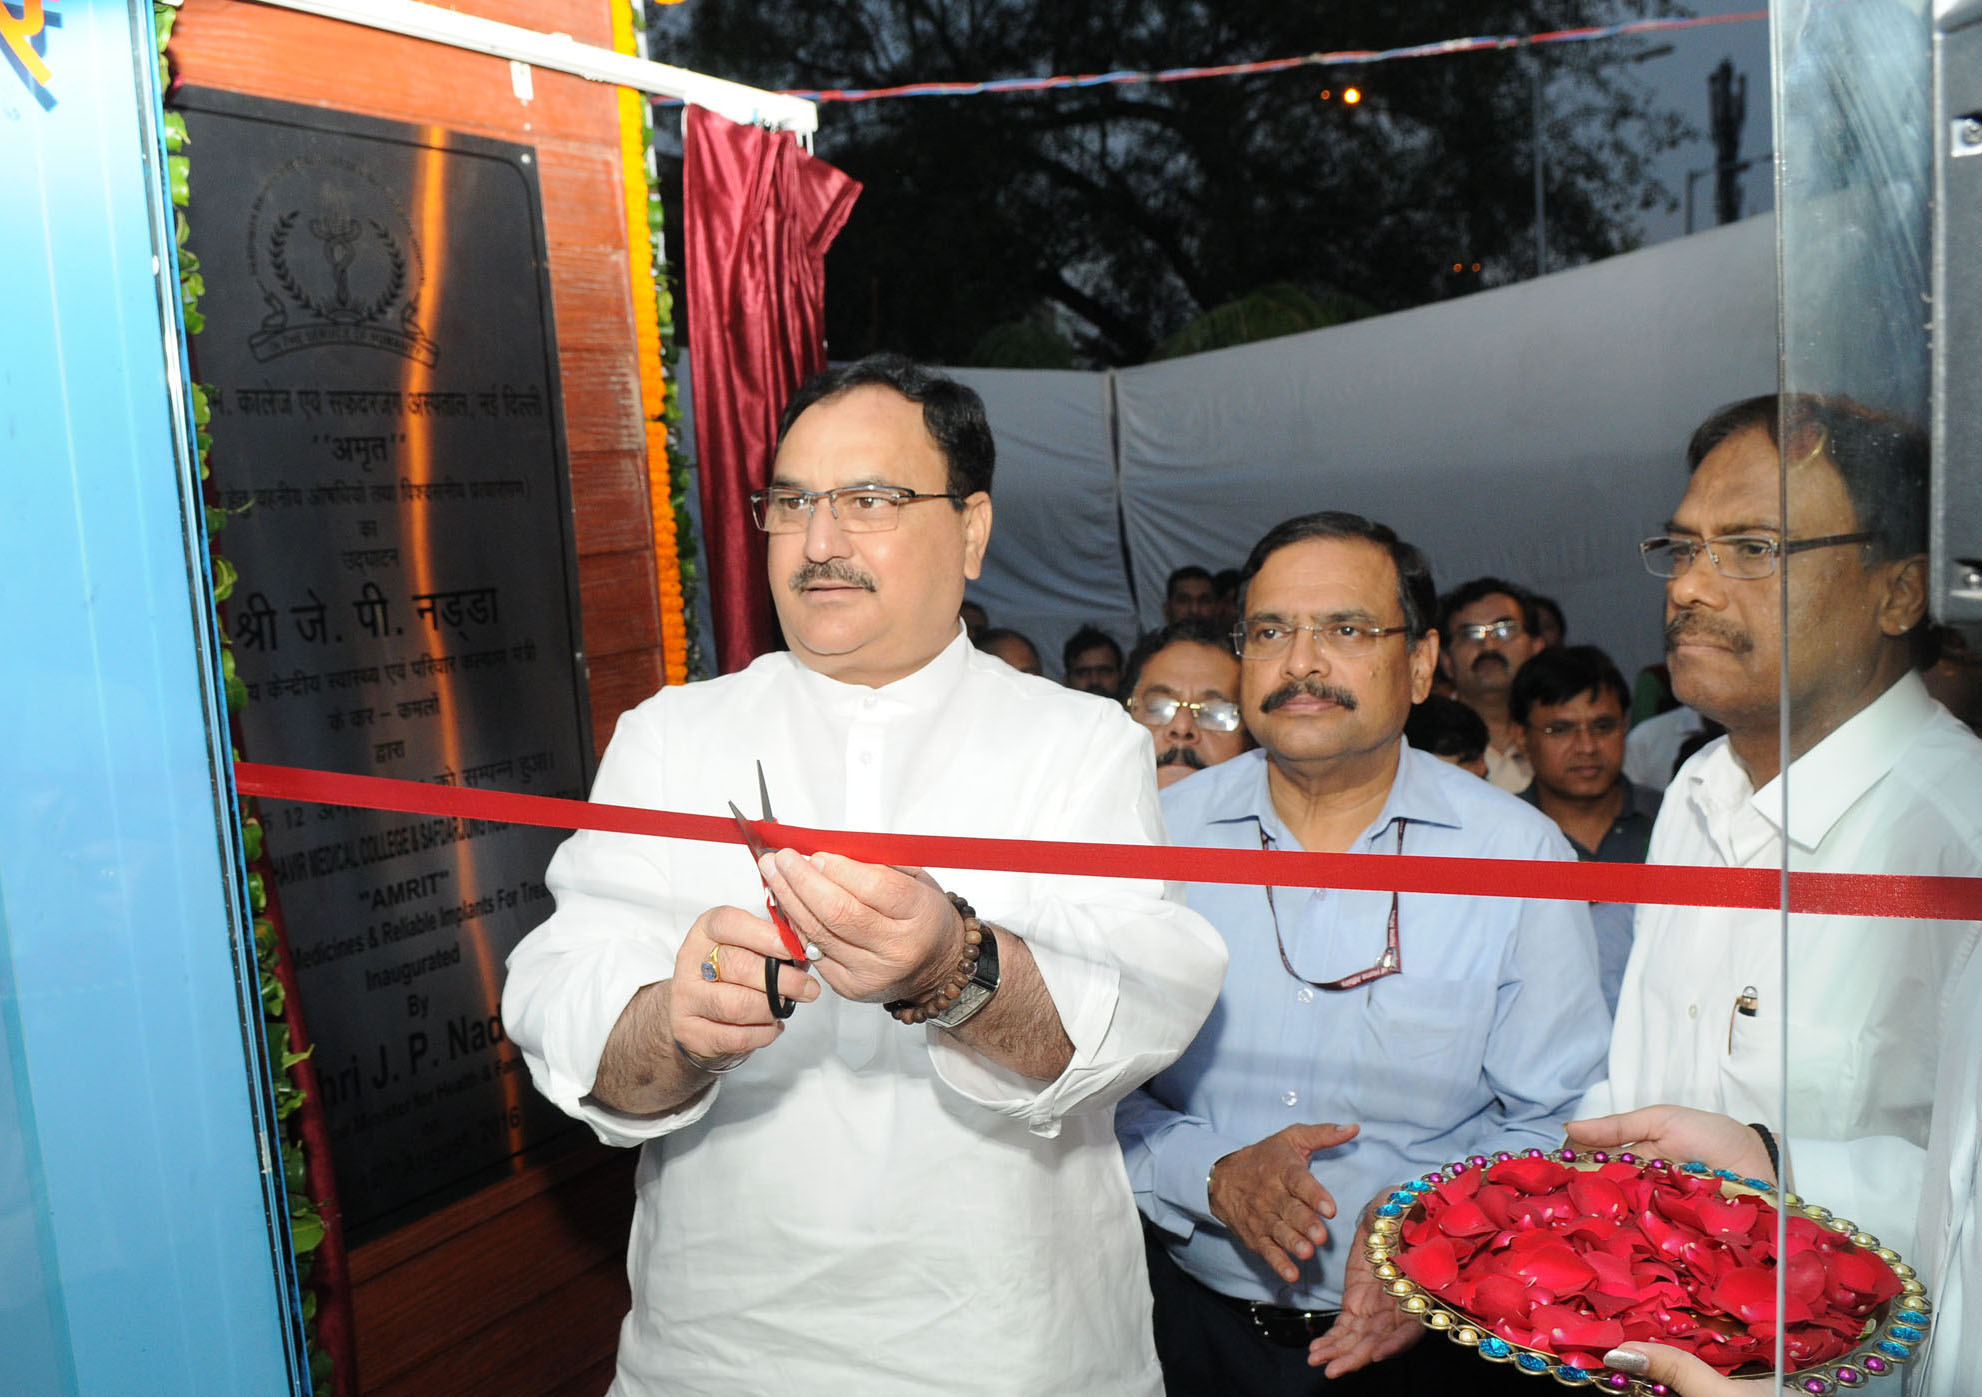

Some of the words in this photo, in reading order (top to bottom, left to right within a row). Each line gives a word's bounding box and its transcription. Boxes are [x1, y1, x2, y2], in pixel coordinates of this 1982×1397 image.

[234, 378, 294, 417] कालेज
[291, 377, 327, 427] एवं
[325, 377, 405, 419] सफदरजंग
[407, 389, 471, 422] अस्पताल
[477, 385, 503, 422] नई
[497, 378, 545, 421] दिल्ली
[329, 435, 389, 477] अमृत
[223, 483, 254, 522] हेतु
[254, 477, 303, 517] वहनीय
[469, 475, 528, 504] प्रत्यारोपण
[355, 515, 382, 542] का
[335, 545, 403, 579] उद्घाटन
[233, 585, 282, 654] श्री
[291, 581, 346, 646] जे॰
[350, 575, 394, 640] पी
[409, 585, 499, 648] नड्डा
[265, 668, 323, 703] केन्द्रीय
[326, 665, 383, 694] स्वास्थ्य
[381, 652, 409, 684] एवं
[408, 647, 459, 679] परिवार
[511, 636, 539, 667] मंत्री
[325, 701, 349, 734] के
[349, 705, 377, 733] कर
[394, 687, 443, 723] कमलों
[372, 737, 407, 767] द्वारा
[460, 757, 517, 791] सम्पन्न
[515, 749, 555, 789] हुआ।
[305, 834, 361, 881] MEDICAL
[355, 825, 414, 869] COLLEGE
[284, 930, 367, 974] Medicines
[359, 923, 383, 953] है
[369, 870, 443, 915] AMRIT
[379, 910, 439, 950] Reliable
[363, 940, 464, 992] Inaugurated
[438, 893, 495, 931] Implants
[492, 885, 518, 913] For
[404, 990, 433, 1023] By